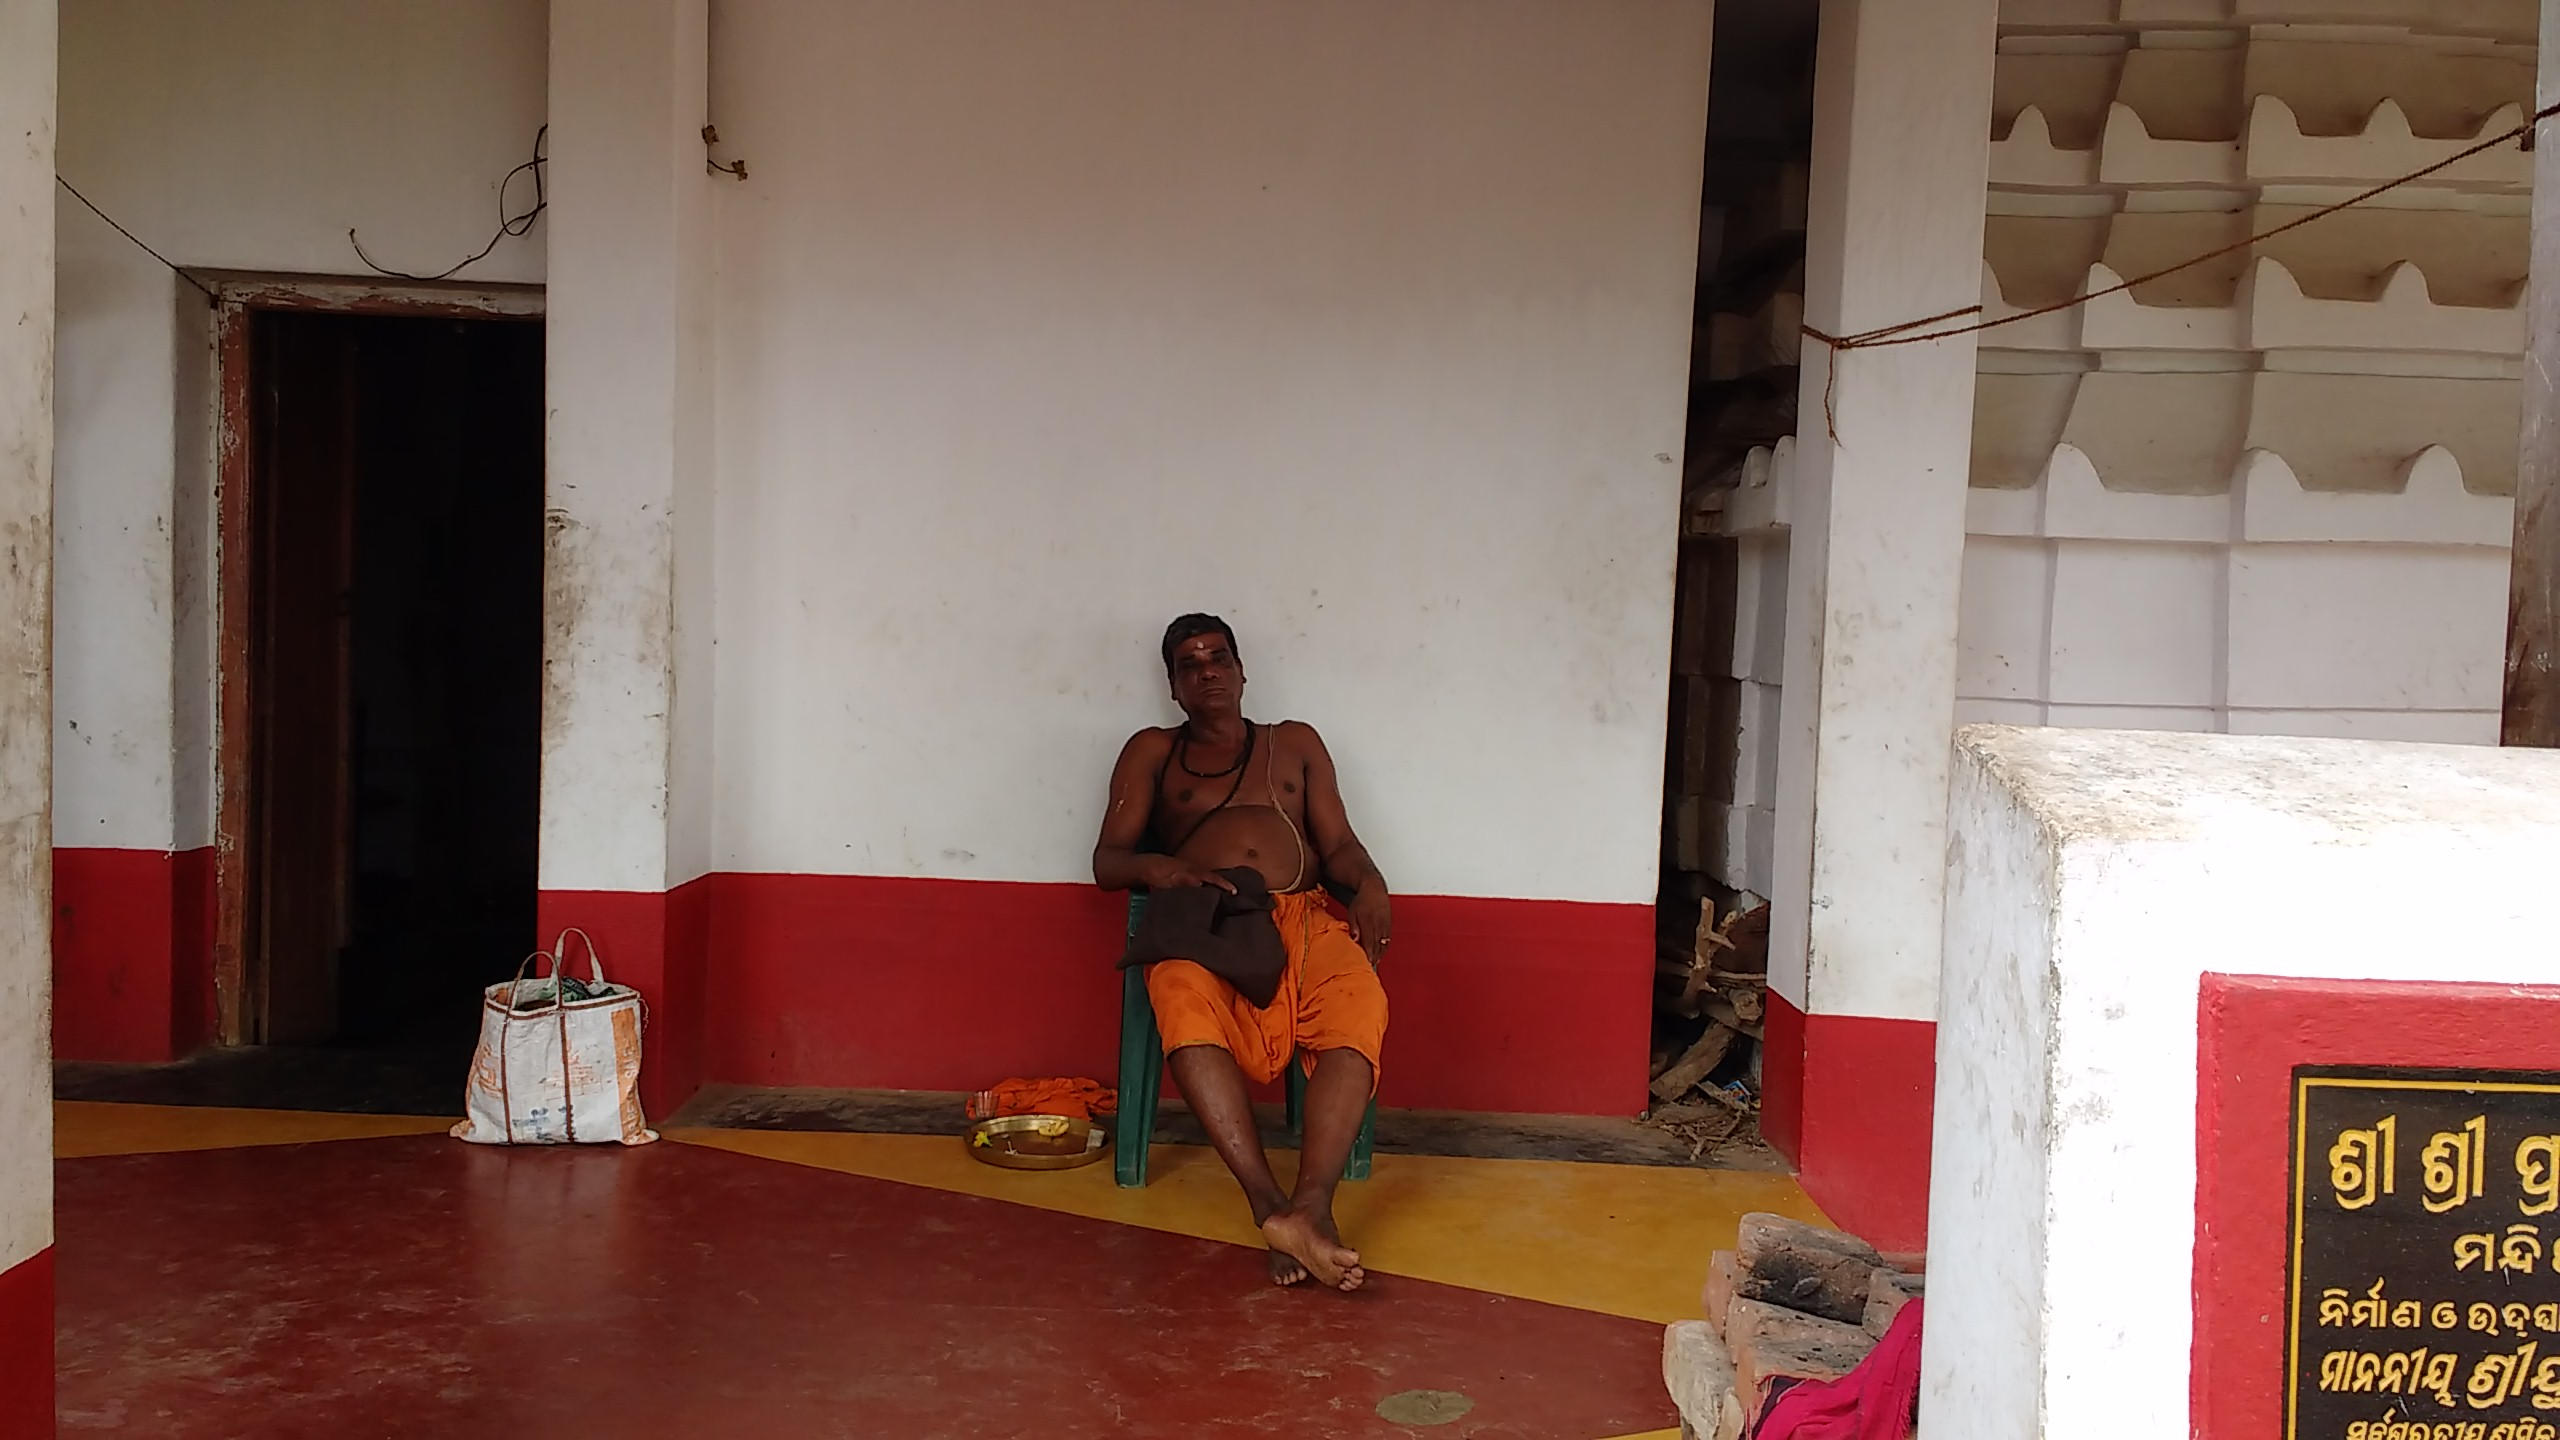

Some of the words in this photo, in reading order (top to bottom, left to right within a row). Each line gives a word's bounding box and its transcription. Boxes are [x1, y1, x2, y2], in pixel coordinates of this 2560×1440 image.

[2318, 1109, 2402, 1213] ଶ୍ରୀ
[2412, 1111, 2496, 1213] ଶ୍ରୀ
[2507, 1133, 2560, 1223] ପ୍ର
[2445, 1219, 2550, 1280] ମନ୍ଦି
[2312, 1268, 2425, 1334] ନିର୍ମାଣ
[2420, 1295, 2463, 1334] ଓ
[2466, 1290, 2558, 1343] ଉଦ୍‌ଘା
[2303, 1340, 2461, 1411] ମାନନୀୟ
[2459, 1336, 2558, 1419] ଶ୍ରୀ